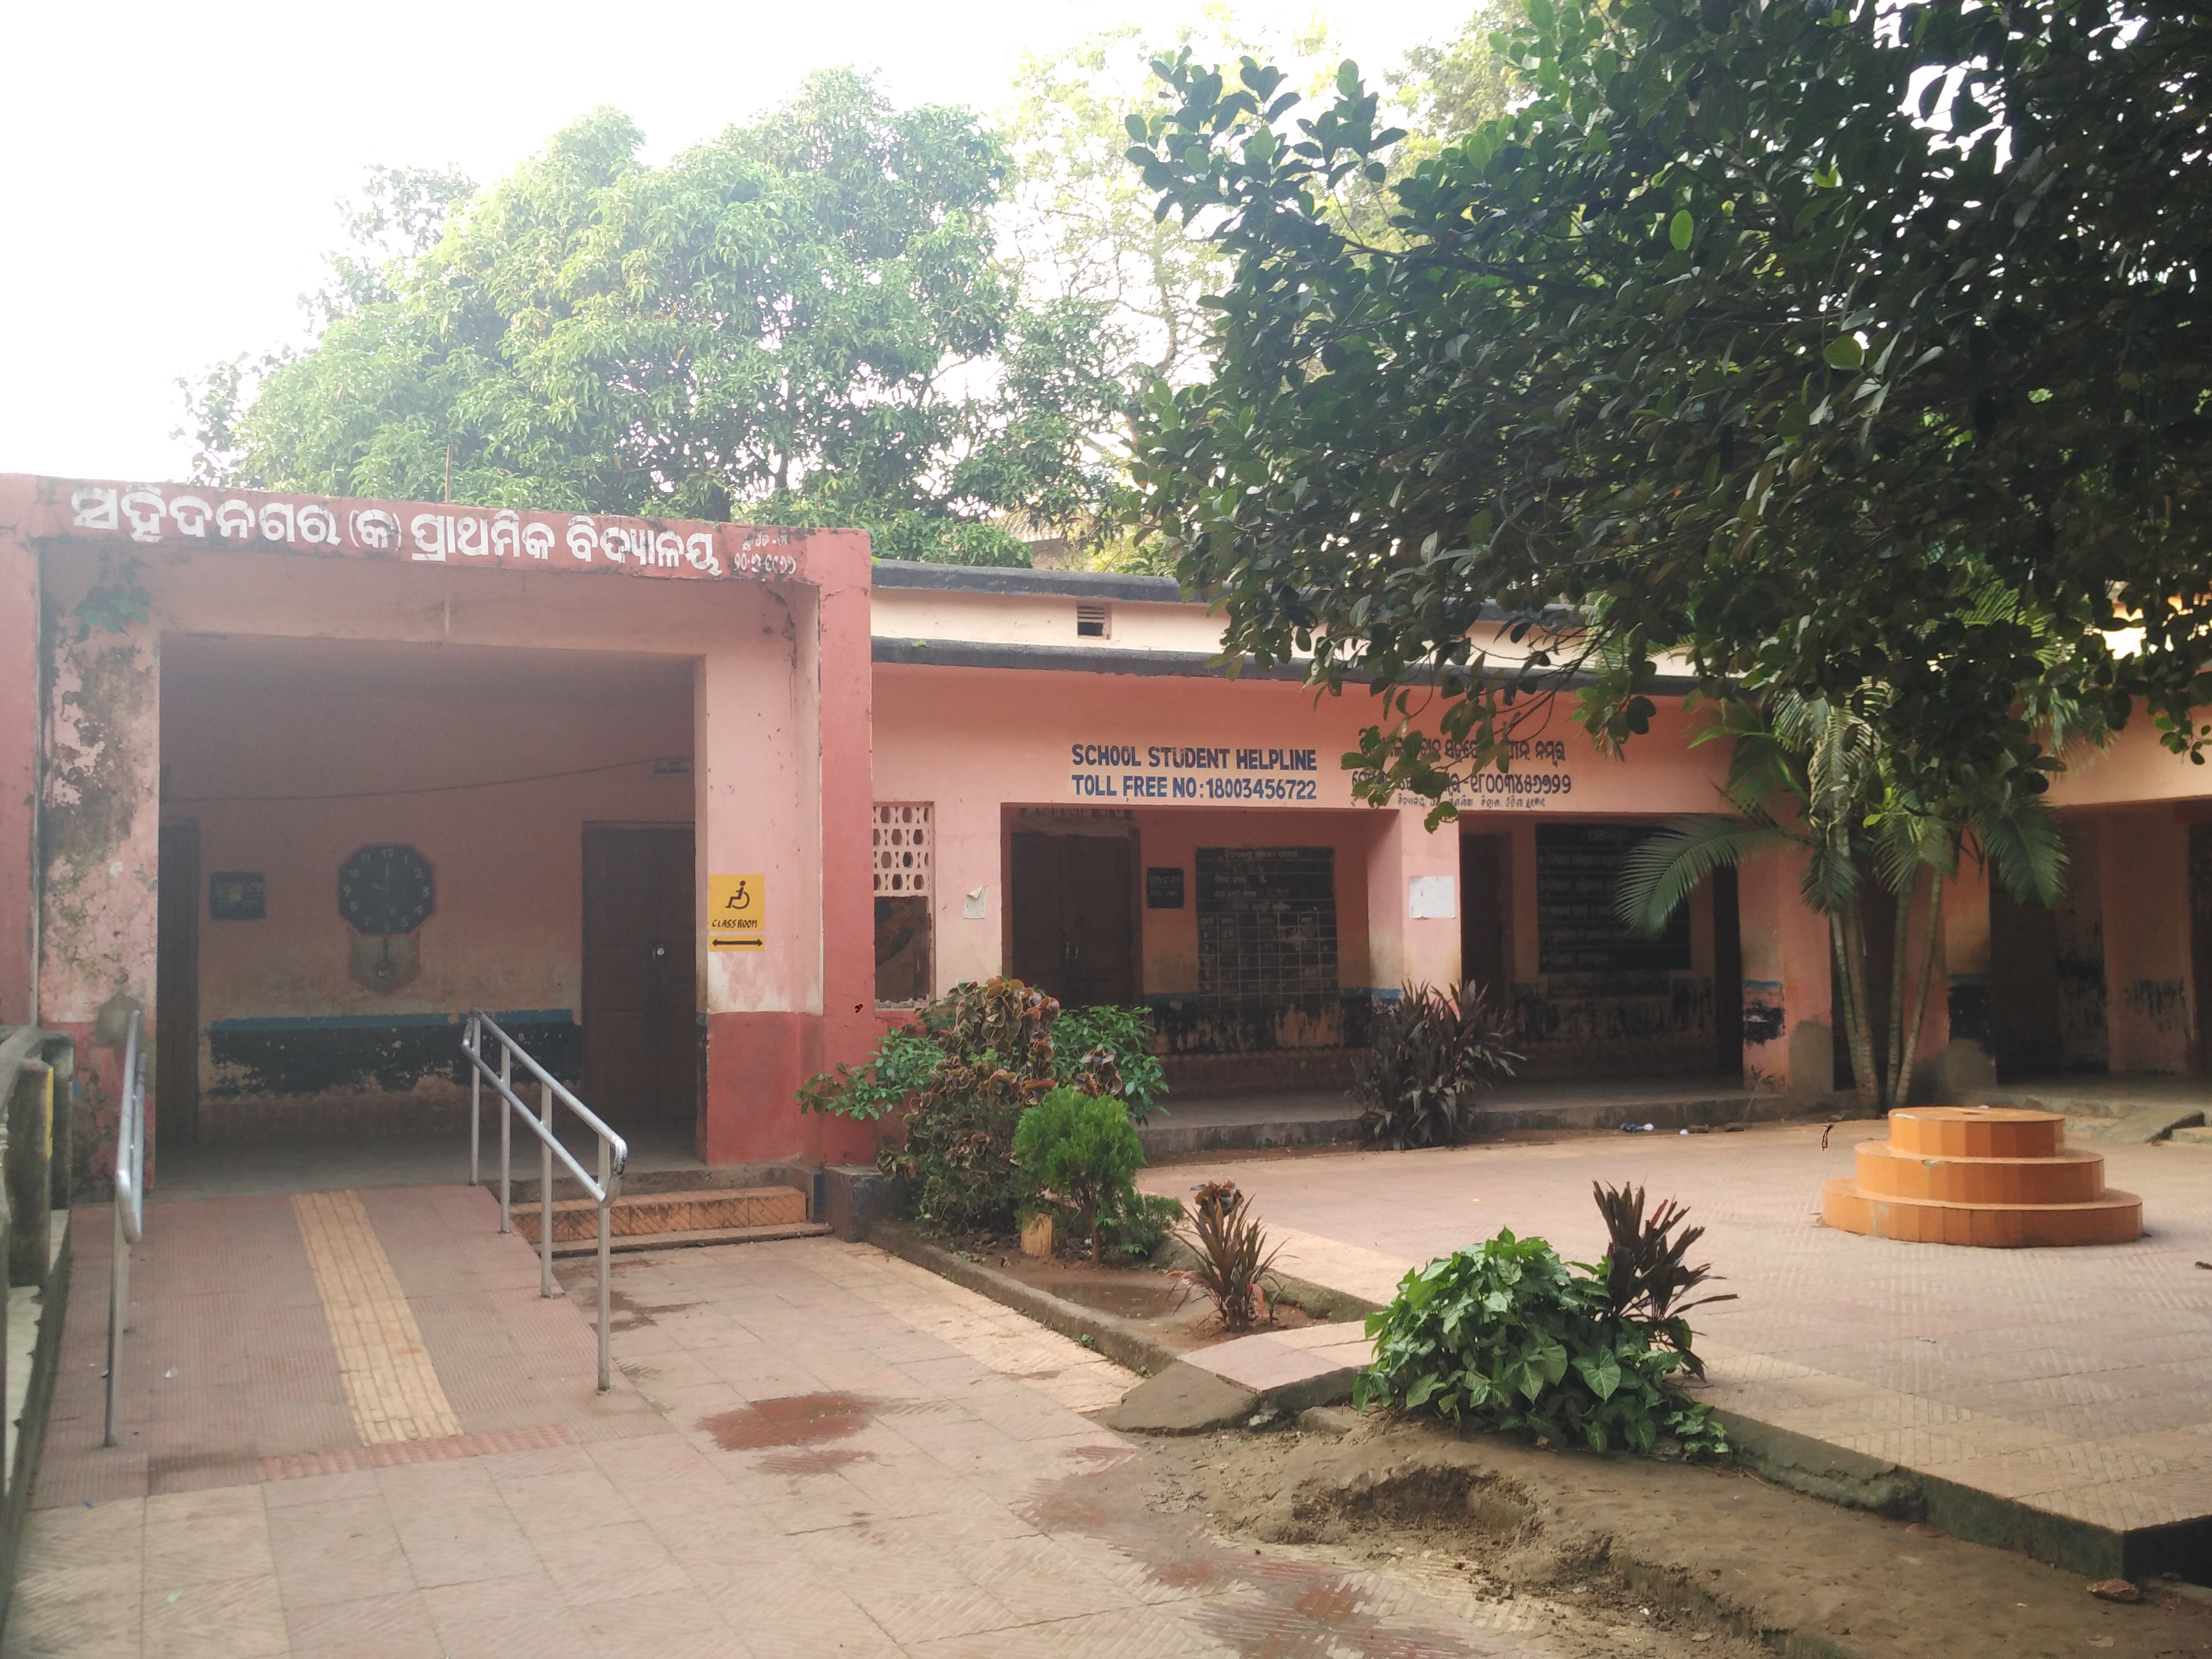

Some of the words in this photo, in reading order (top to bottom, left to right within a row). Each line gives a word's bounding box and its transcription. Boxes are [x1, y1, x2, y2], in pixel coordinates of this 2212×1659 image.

[70, 475, 408, 558] ସହିଦନଗର (କ)
[408, 505, 557, 570] ପ୍ରାଥମିକ
[557, 500, 725, 585] ବିଦ୍ୟାଳୟ
[1068, 737, 1149, 769] SCHOOL
[1135, 742, 1233, 773] STUDENT
[1234, 746, 1321, 772] HELPLINE
[1531, 735, 1568, 770] ନମ୍ବର
[1069, 772, 1119, 799] TOLL
[1119, 773, 1170, 801] FREE
[1170, 774, 1321, 802] NO:18003456722
[1468, 770, 1577, 797] ୧୮୦୦୩୪୫୬୭୨୨
[708, 914, 761, 931] CLASSROOM